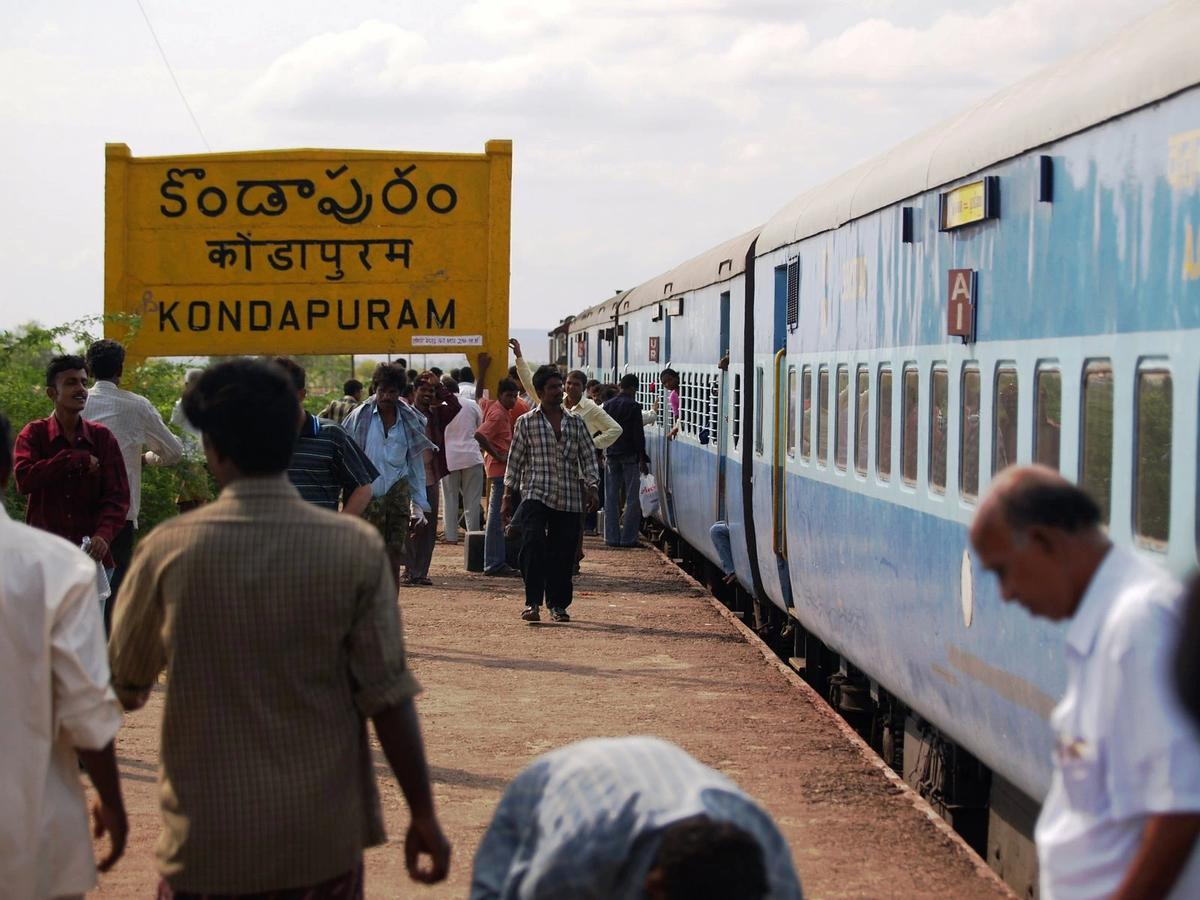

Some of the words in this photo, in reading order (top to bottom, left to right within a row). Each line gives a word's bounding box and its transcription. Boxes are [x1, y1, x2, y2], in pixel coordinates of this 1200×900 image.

[156, 154, 463, 232] కొండాపురం
[203, 221, 419, 287] कोंडापुरम
[153, 295, 461, 336] KONDAPURAM